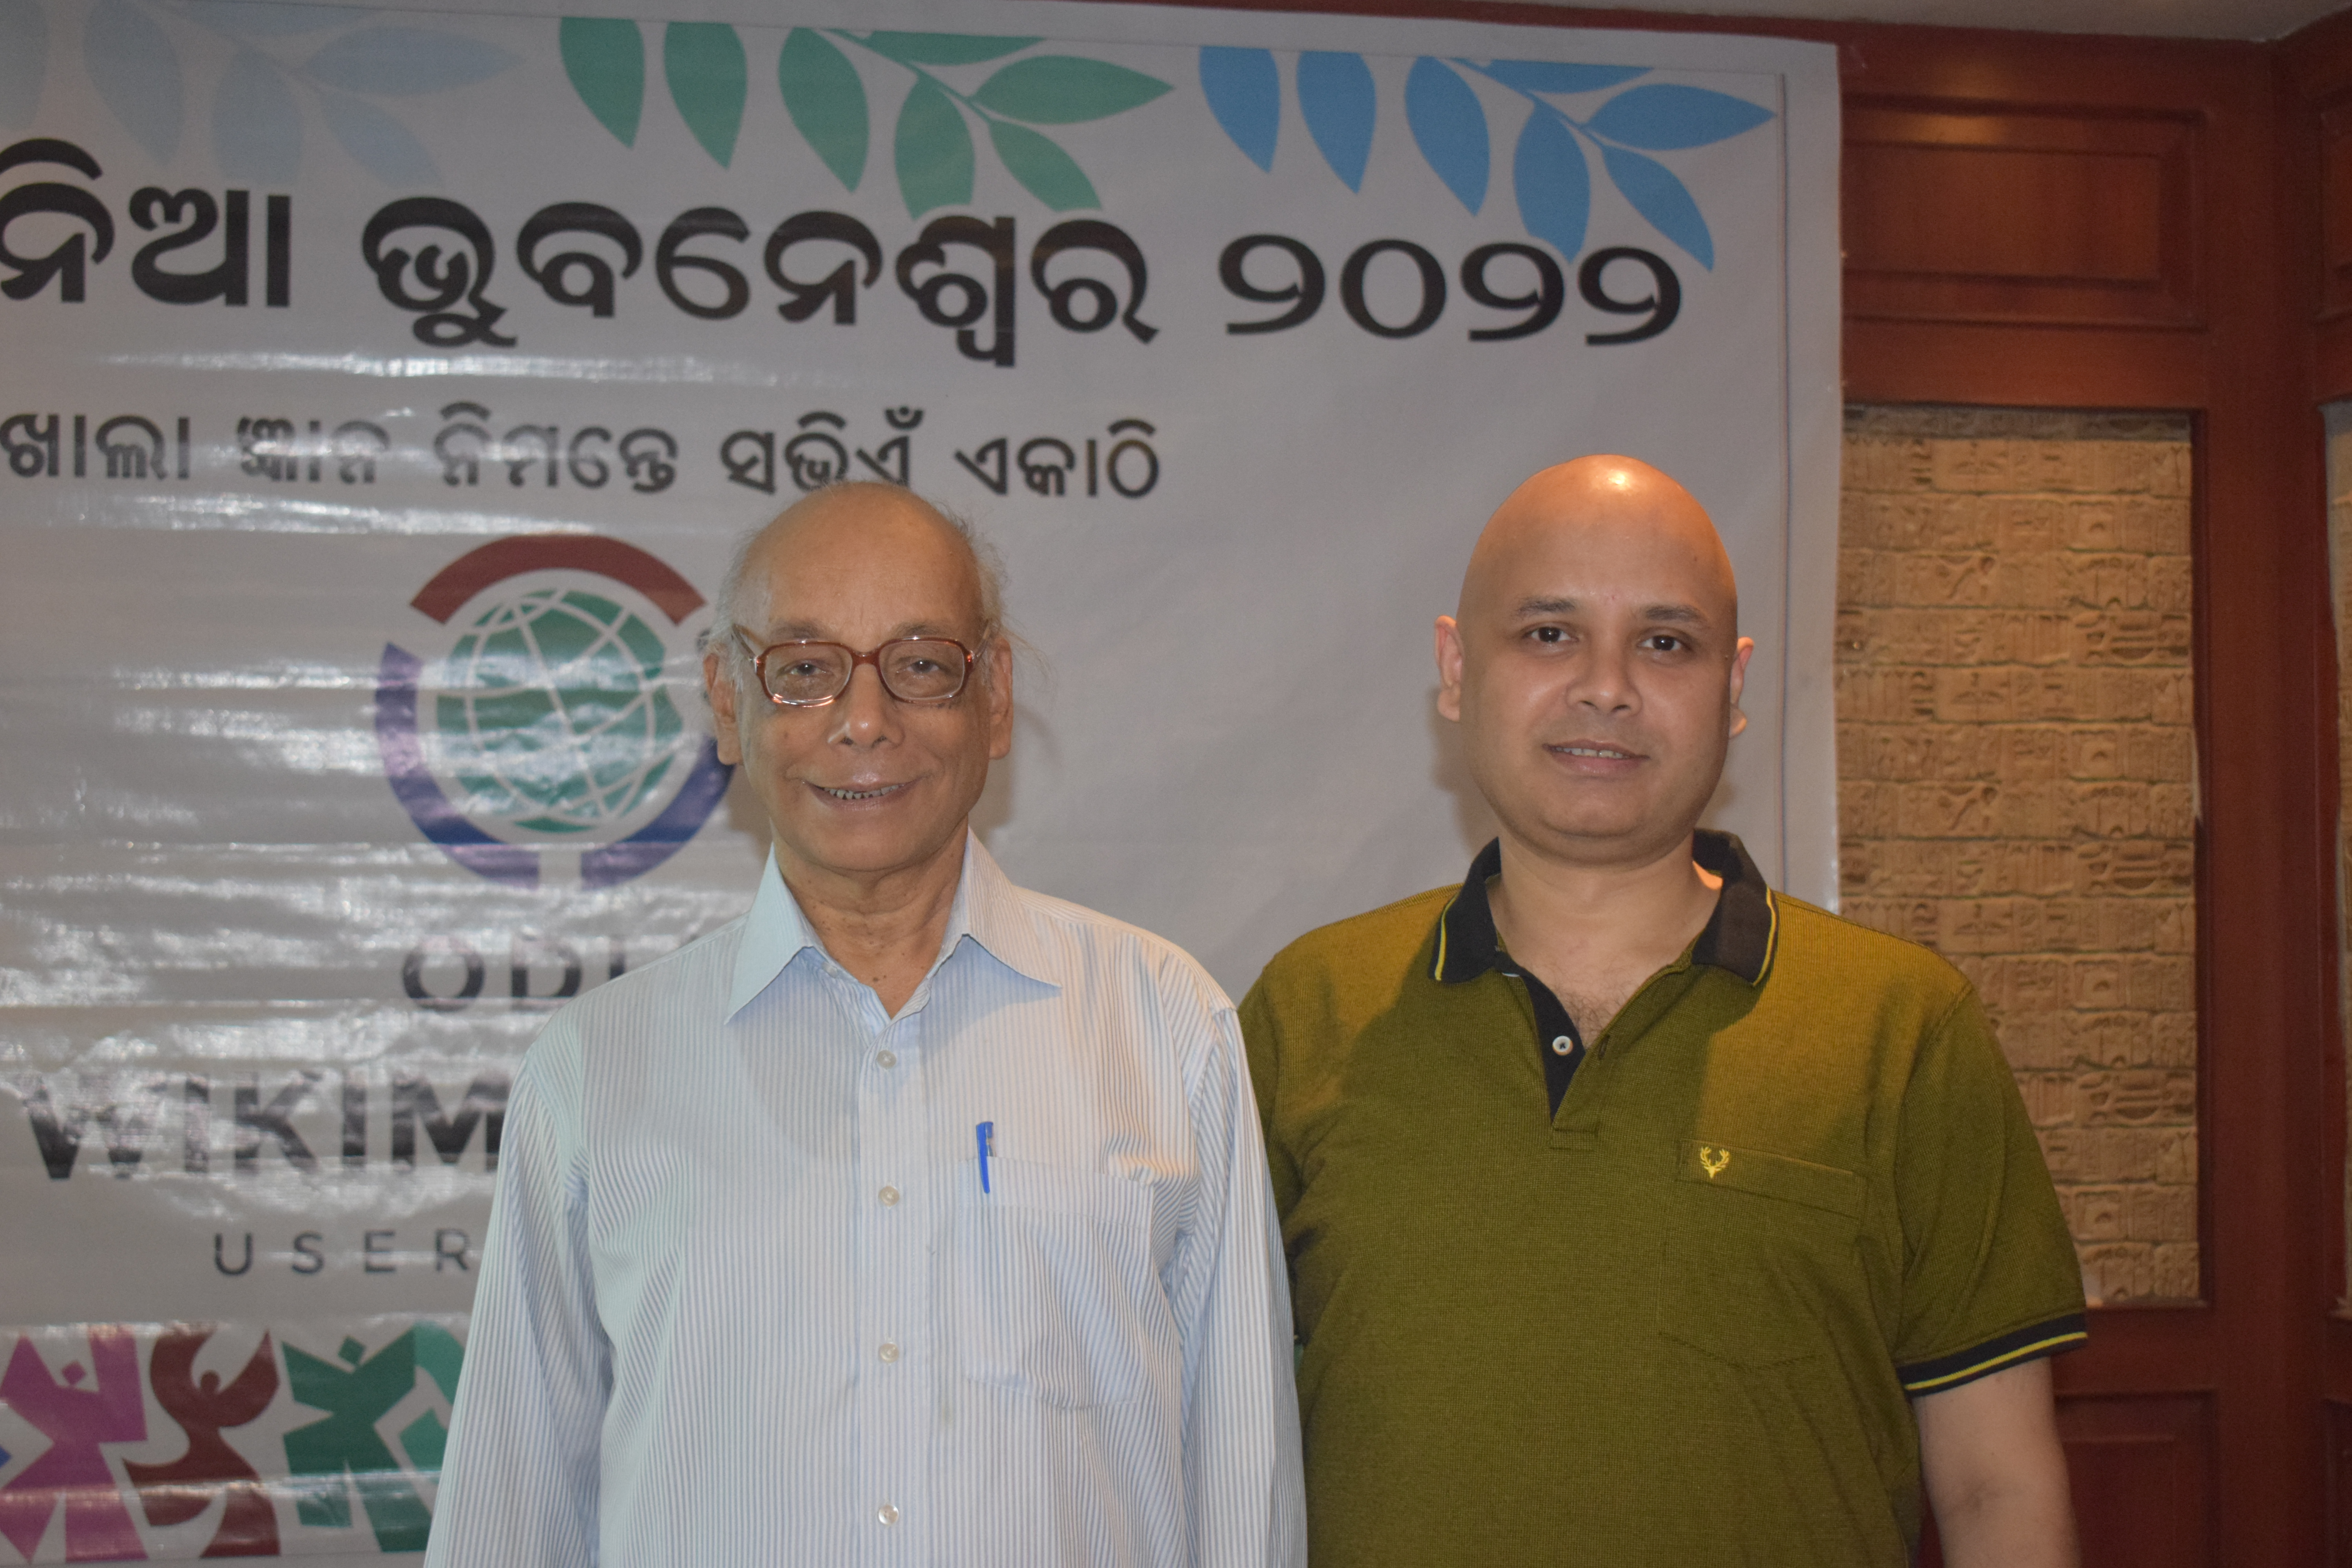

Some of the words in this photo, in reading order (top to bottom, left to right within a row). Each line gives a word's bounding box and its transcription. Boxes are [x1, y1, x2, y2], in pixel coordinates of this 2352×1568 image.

[2, 127, 299, 316] ନିଆ
[351, 187, 1163, 371] ଭୁବନେଶ୍ବର
[1218, 220, 1674, 349] ୨୦୨୨
[1, 408, 198, 485] ଖାଲା
[235, 410, 404, 488] ଜ୍ଞାନ
[430, 398, 689, 503] ନିମନ୍ତେ
[713, 404, 924, 503] ସଭିଏଁ
[946, 408, 1166, 505] ଏକାଠି
[205, 1224, 476, 1280] USER